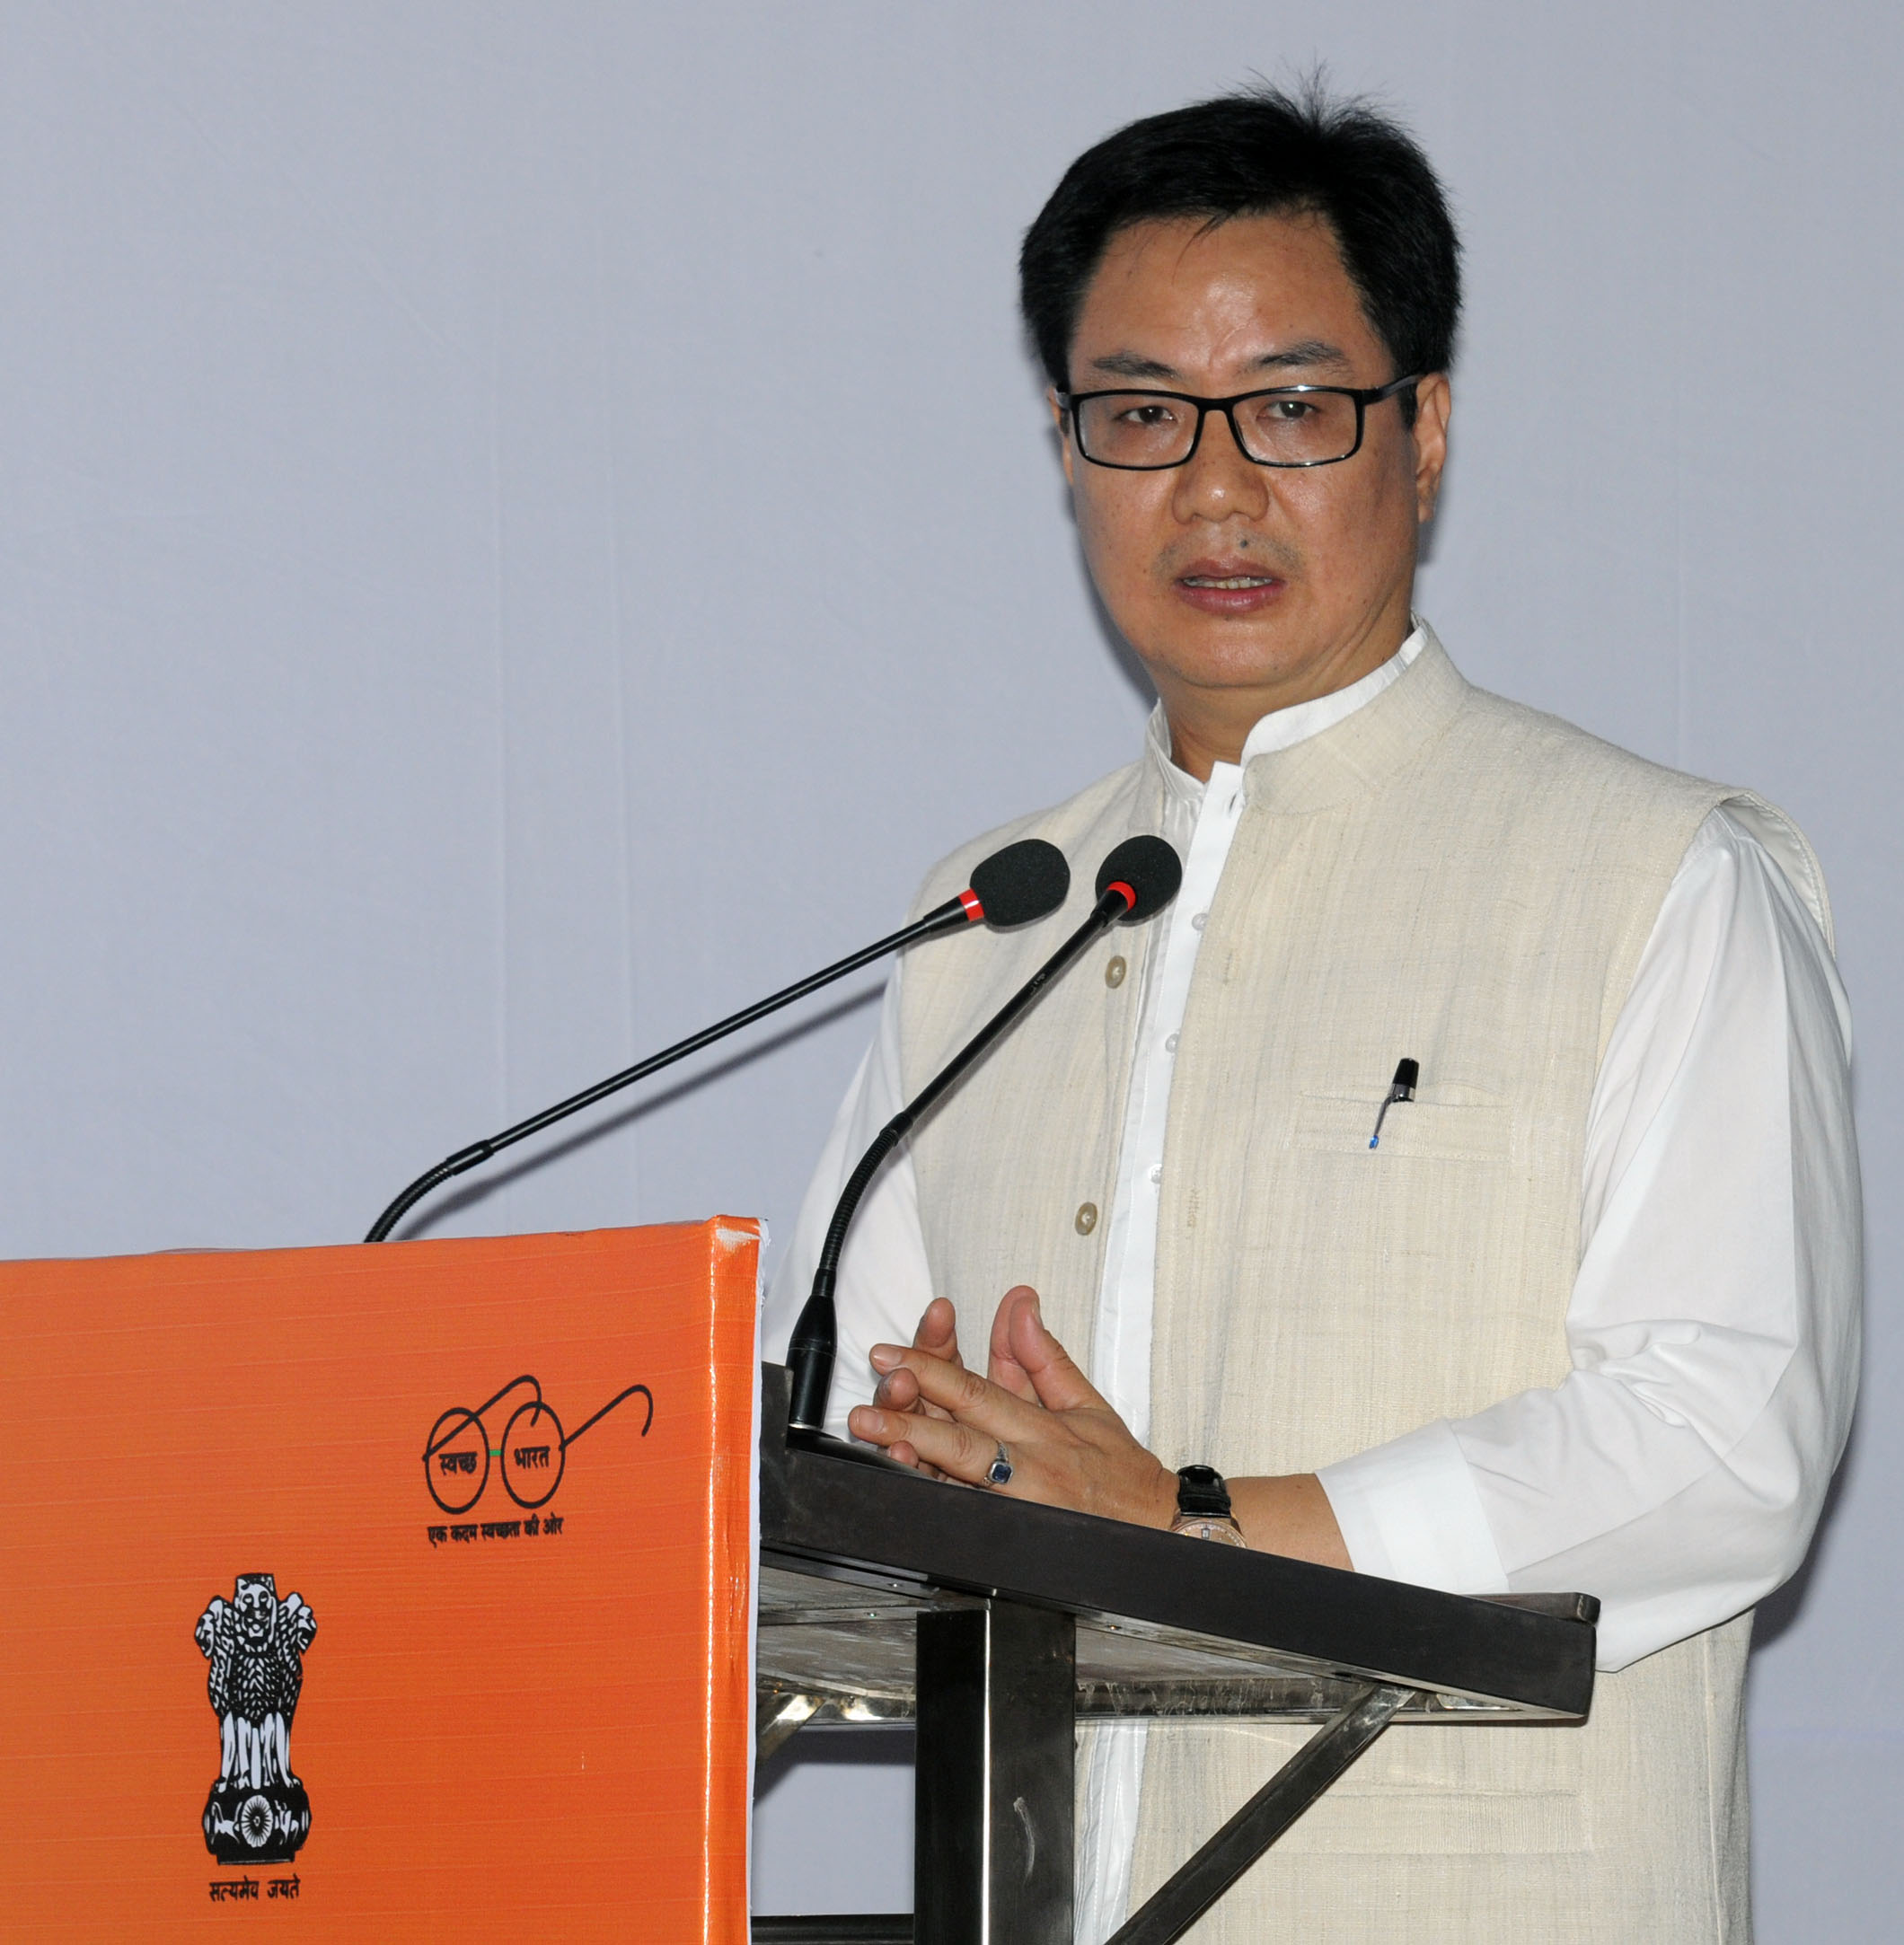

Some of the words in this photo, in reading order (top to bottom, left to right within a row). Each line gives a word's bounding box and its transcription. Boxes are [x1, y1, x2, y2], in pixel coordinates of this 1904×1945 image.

[438, 1447, 480, 1476] स्वच्छ
[510, 1444, 552, 1472] भारत
[427, 1524, 449, 1551] एक
[449, 1521, 480, 1546] कदम
[478, 1518, 522, 1542] स्वच्छता
[522, 1508, 543, 1537] की
[540, 1509, 565, 1536] ओर
[205, 1870, 262, 1904] सत्यमेव
[266, 1869, 303, 1901] जयते